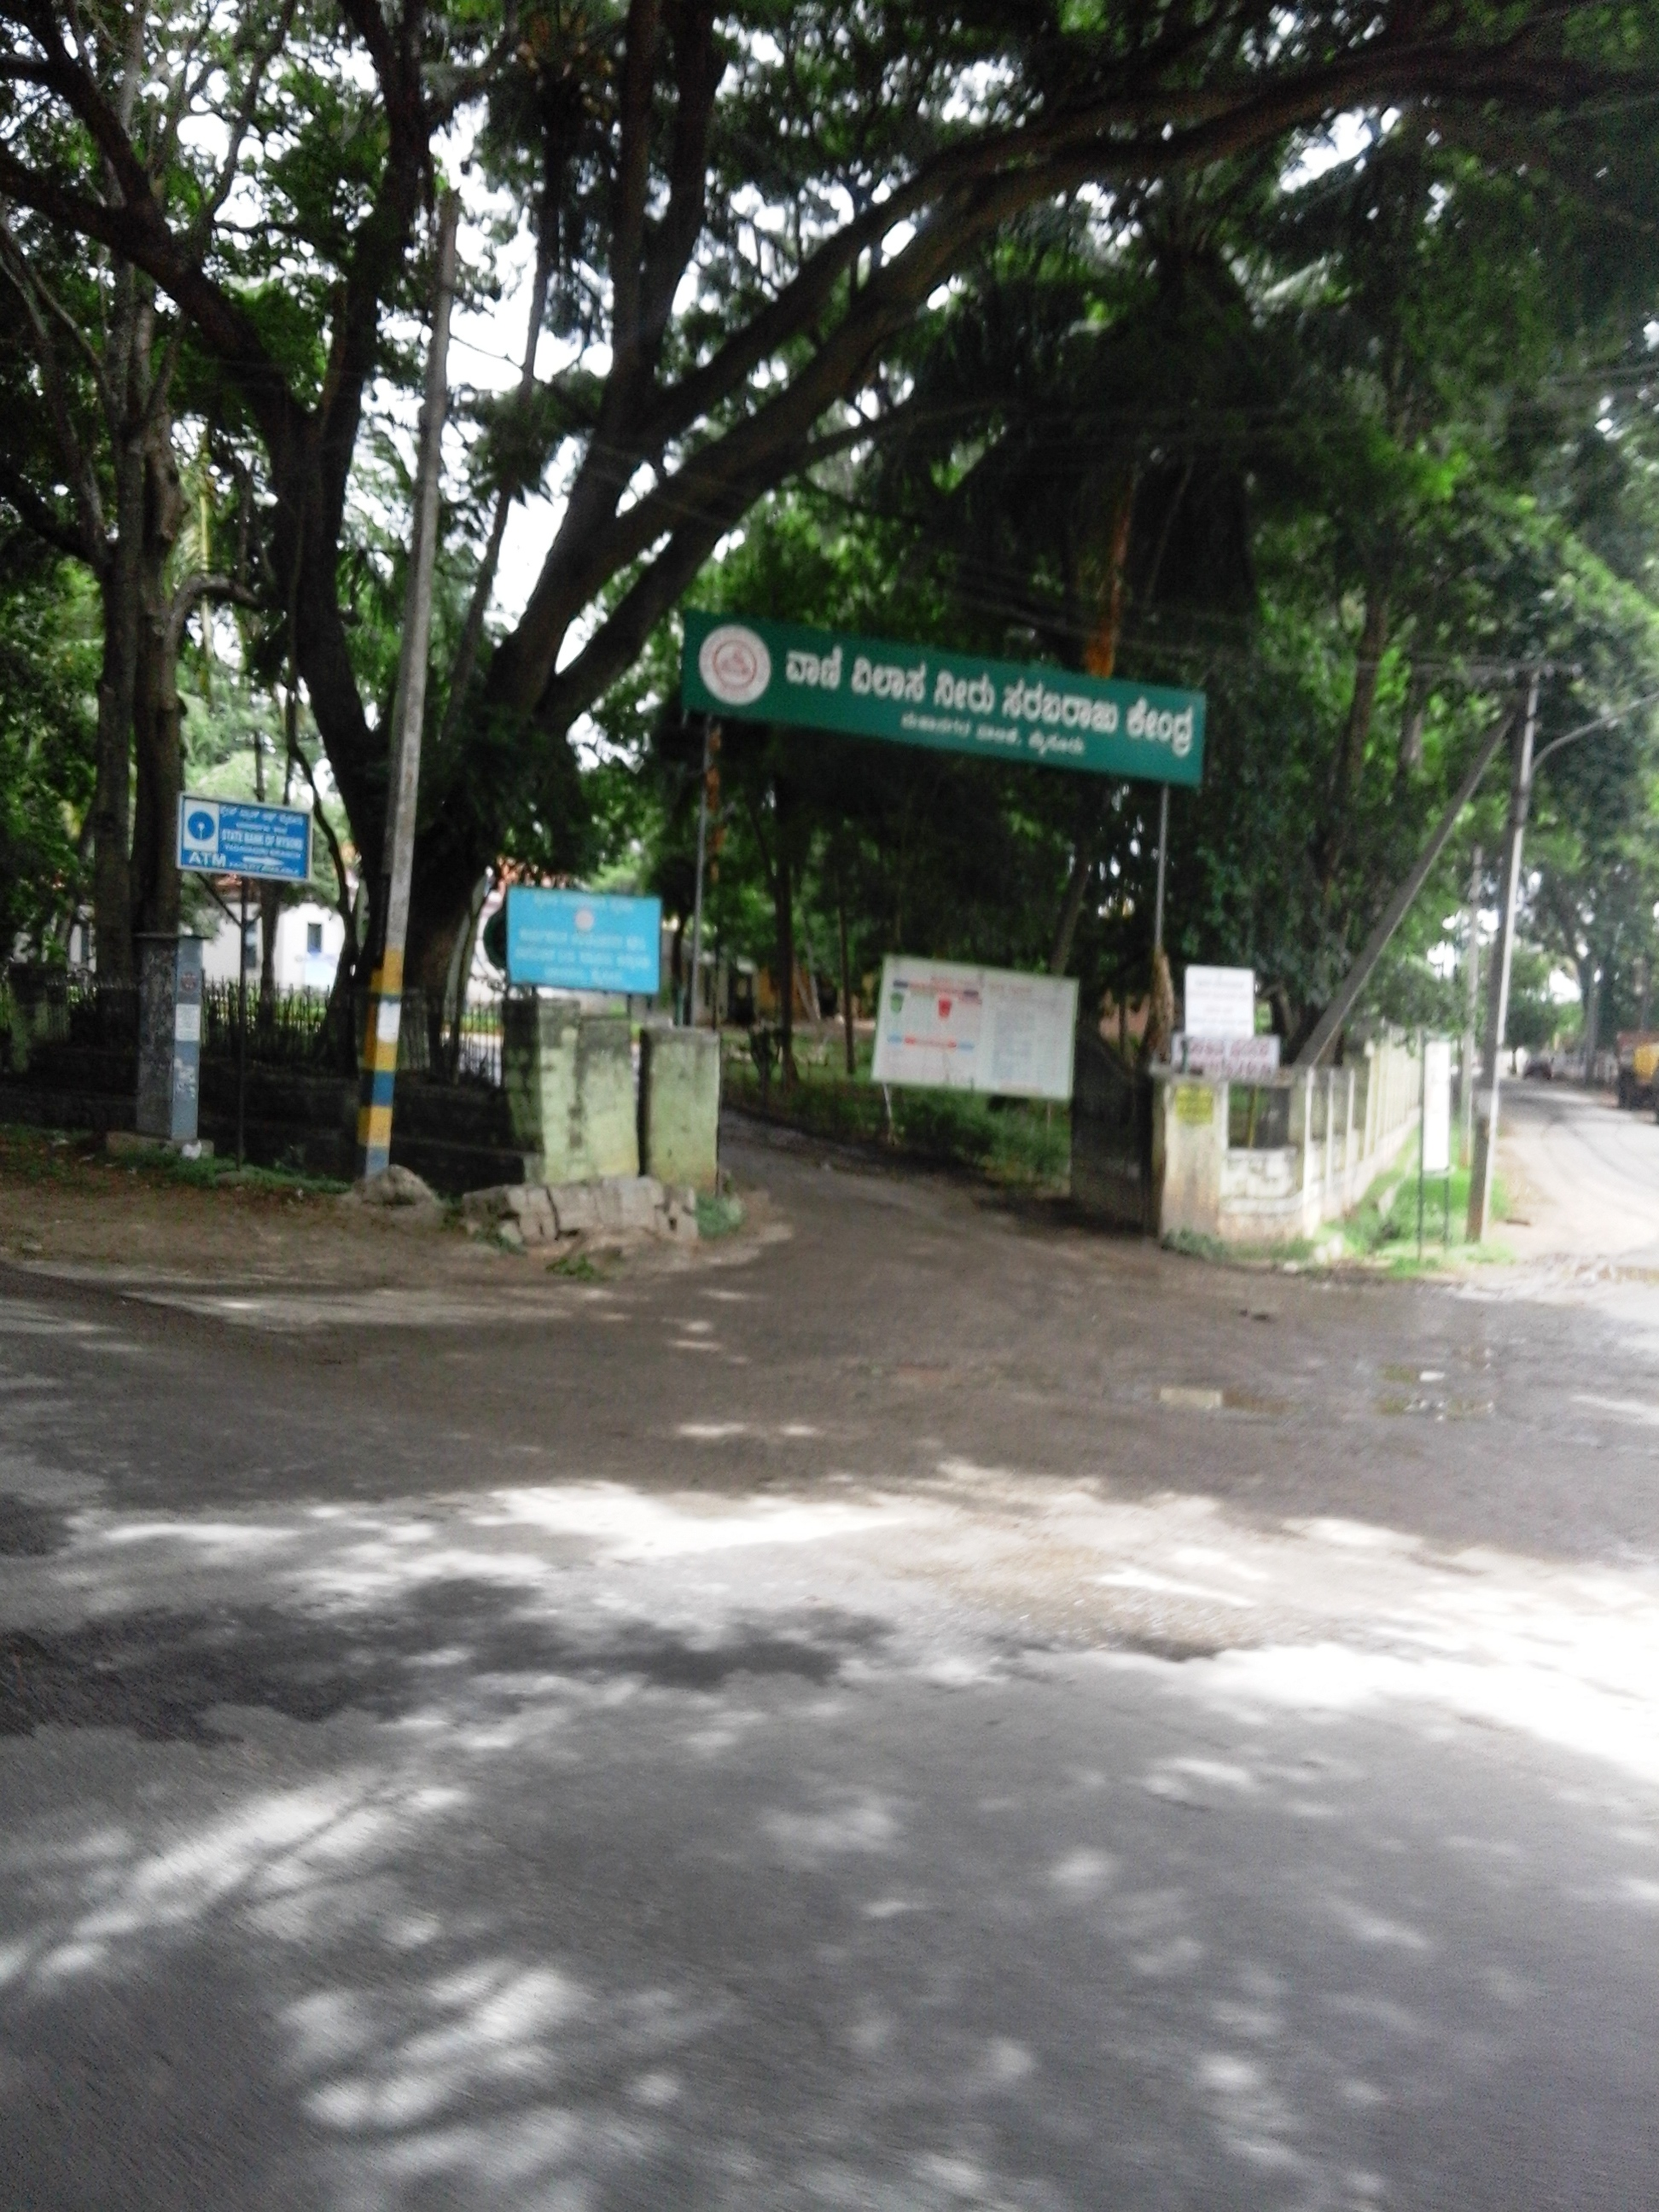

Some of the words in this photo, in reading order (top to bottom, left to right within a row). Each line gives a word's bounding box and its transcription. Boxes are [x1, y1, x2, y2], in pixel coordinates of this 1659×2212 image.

[780, 637, 845, 694] ವಾಣಿ
[845, 647, 934, 707] ವಿಲಾಸ
[927, 664, 1003, 723] ನೀರು
[998, 678, 1124, 740] ಸರಬರಾಜು
[1119, 691, 1196, 760] ಕೇಂದ್ರ
[185, 846, 229, 873] ATM